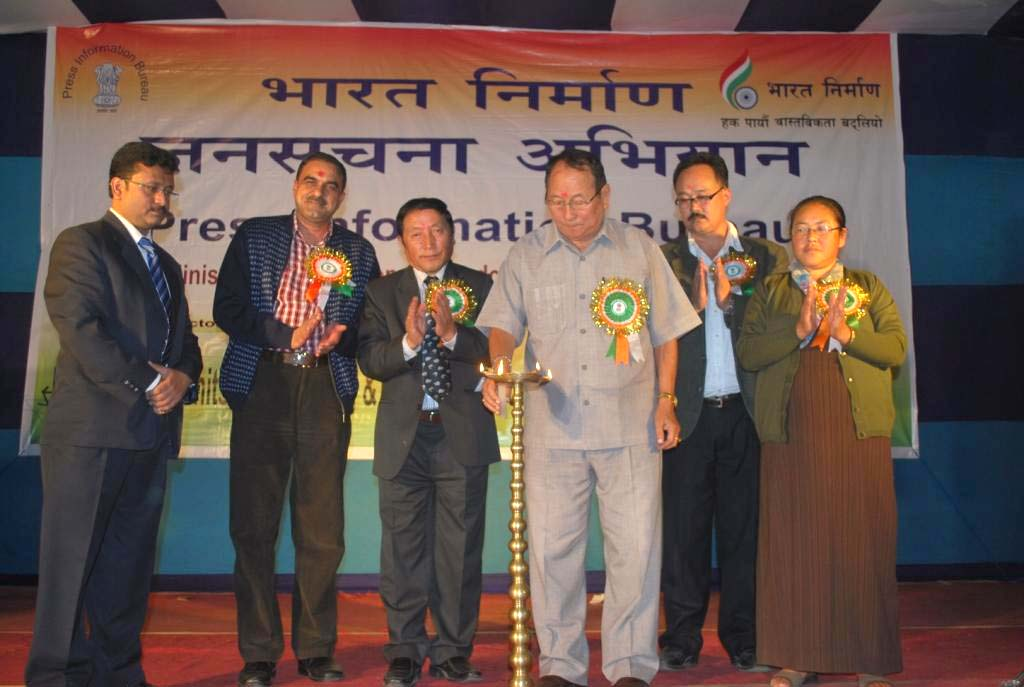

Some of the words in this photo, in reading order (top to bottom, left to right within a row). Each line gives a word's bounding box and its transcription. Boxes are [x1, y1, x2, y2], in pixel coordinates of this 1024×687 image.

[69, 40, 143, 68] Information
[55, 59, 84, 103] Press
[129, 57, 155, 105] Bureau
[255, 71, 441, 115] भारत
[458, 53, 697, 115] निर्माण
[764, 79, 816, 101] भारत
[821, 75, 883, 99] निर्माण
[717, 110, 743, 134] हक
[745, 111, 775, 135] पायाँ
[767, 110, 839, 133] वास्तबिकता
[836, 111, 892, 139] बद्लियो
[134, 127, 482, 181] जनसूचना
[516, 118, 812, 181] अभियान